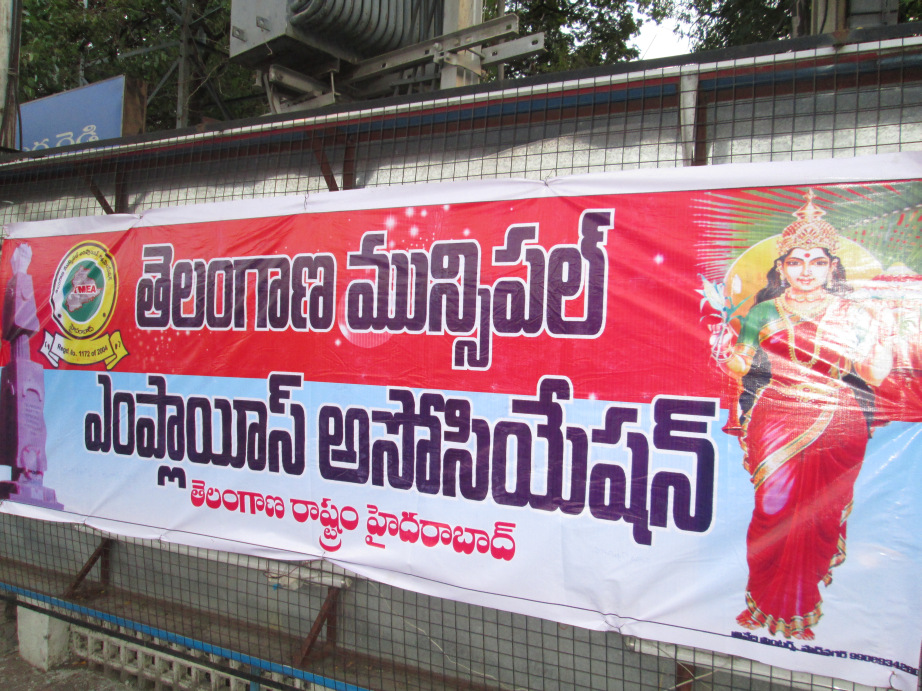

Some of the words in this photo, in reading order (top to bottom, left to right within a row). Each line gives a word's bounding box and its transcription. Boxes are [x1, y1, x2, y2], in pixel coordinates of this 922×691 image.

[128, 236, 338, 339] తెలంగాణ
[334, 205, 622, 378] మున్సిపల్
[80, 366, 315, 483] ఎంపాయీస్
[188, 473, 291, 521] తెలంగాణ
[288, 494, 364, 557] రాష్ట్రం
[361, 502, 523, 567] హైదరాబాద్
[315, 371, 727, 553] అసోసియేషన్